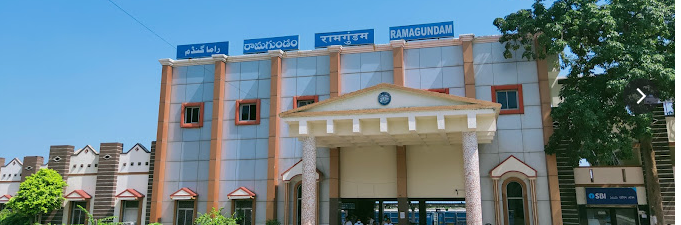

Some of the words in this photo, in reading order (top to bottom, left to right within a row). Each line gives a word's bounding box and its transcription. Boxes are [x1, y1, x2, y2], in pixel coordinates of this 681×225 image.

[177, 37, 226, 59] راما گندم
[237, 34, 300, 53] రామగుండం
[315, 23, 372, 49] रामगुंडम
[385, 21, 457, 43] RAMAGUNDAM
[590, 189, 610, 203] SBI